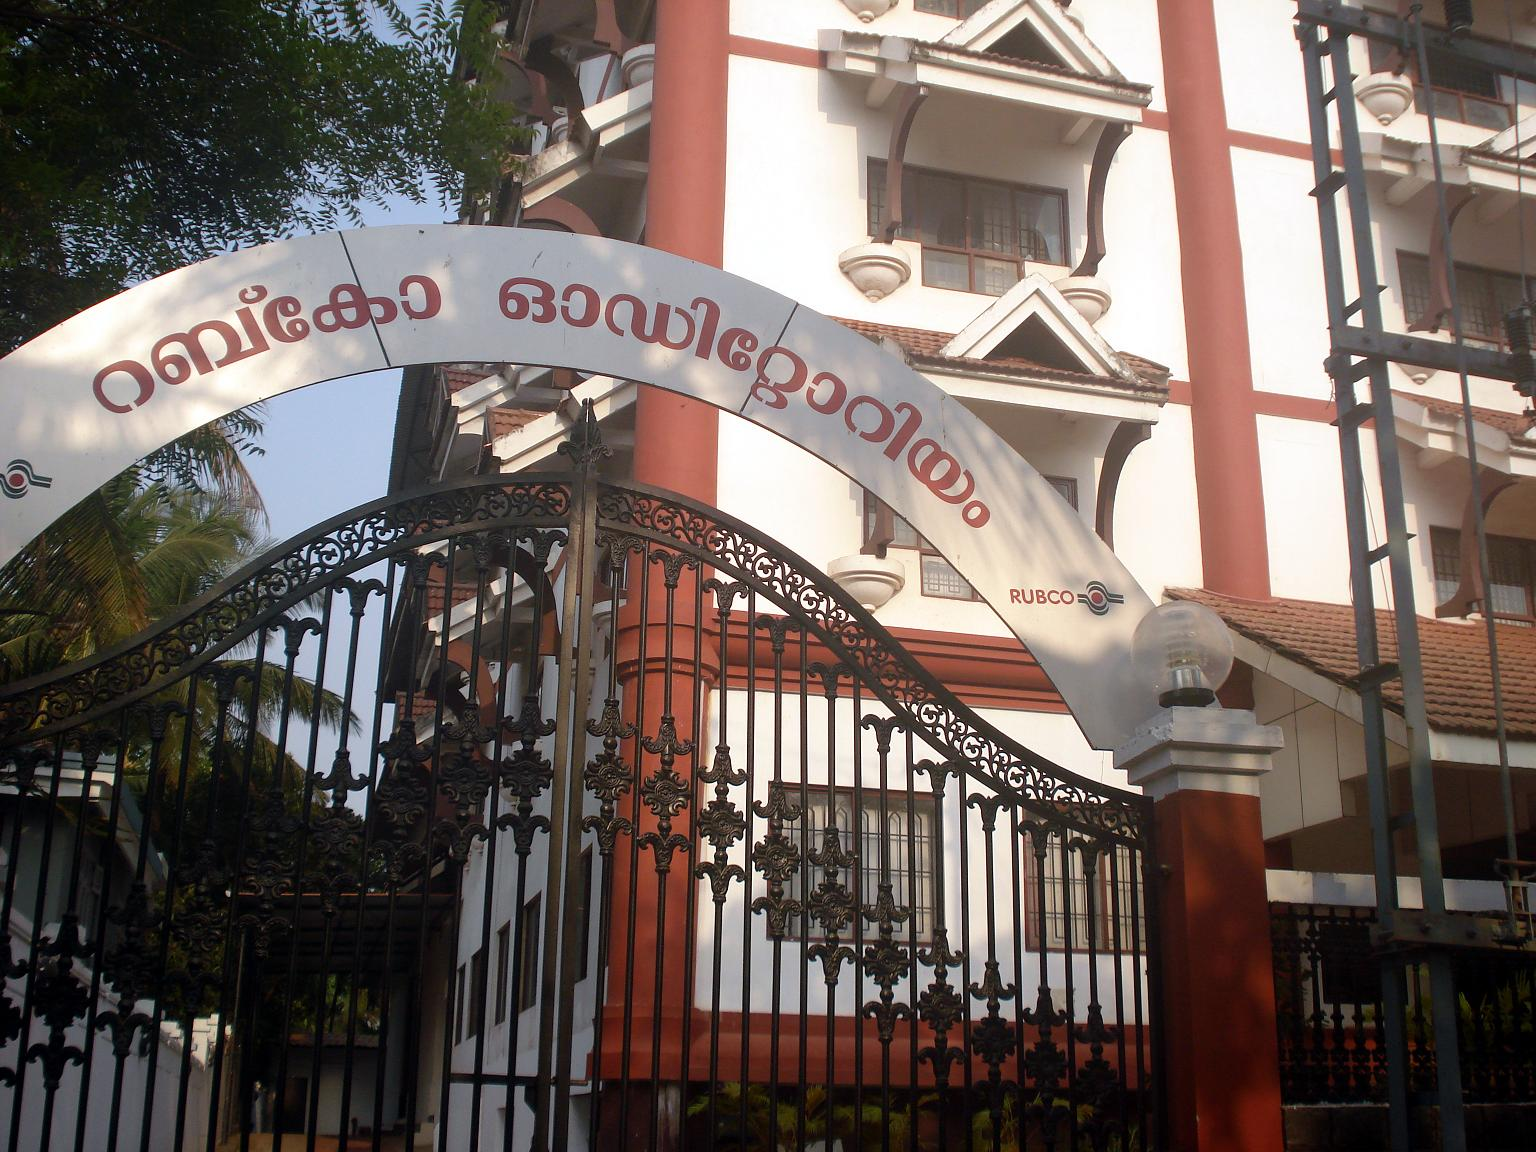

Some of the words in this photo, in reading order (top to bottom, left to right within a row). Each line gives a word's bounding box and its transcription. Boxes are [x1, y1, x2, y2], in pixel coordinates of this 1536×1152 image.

[83, 267, 445, 422] റബ്‌കോ
[495, 269, 997, 540] ഓഡിറ്റോറിയം
[1006, 582, 1075, 610] RUBCO